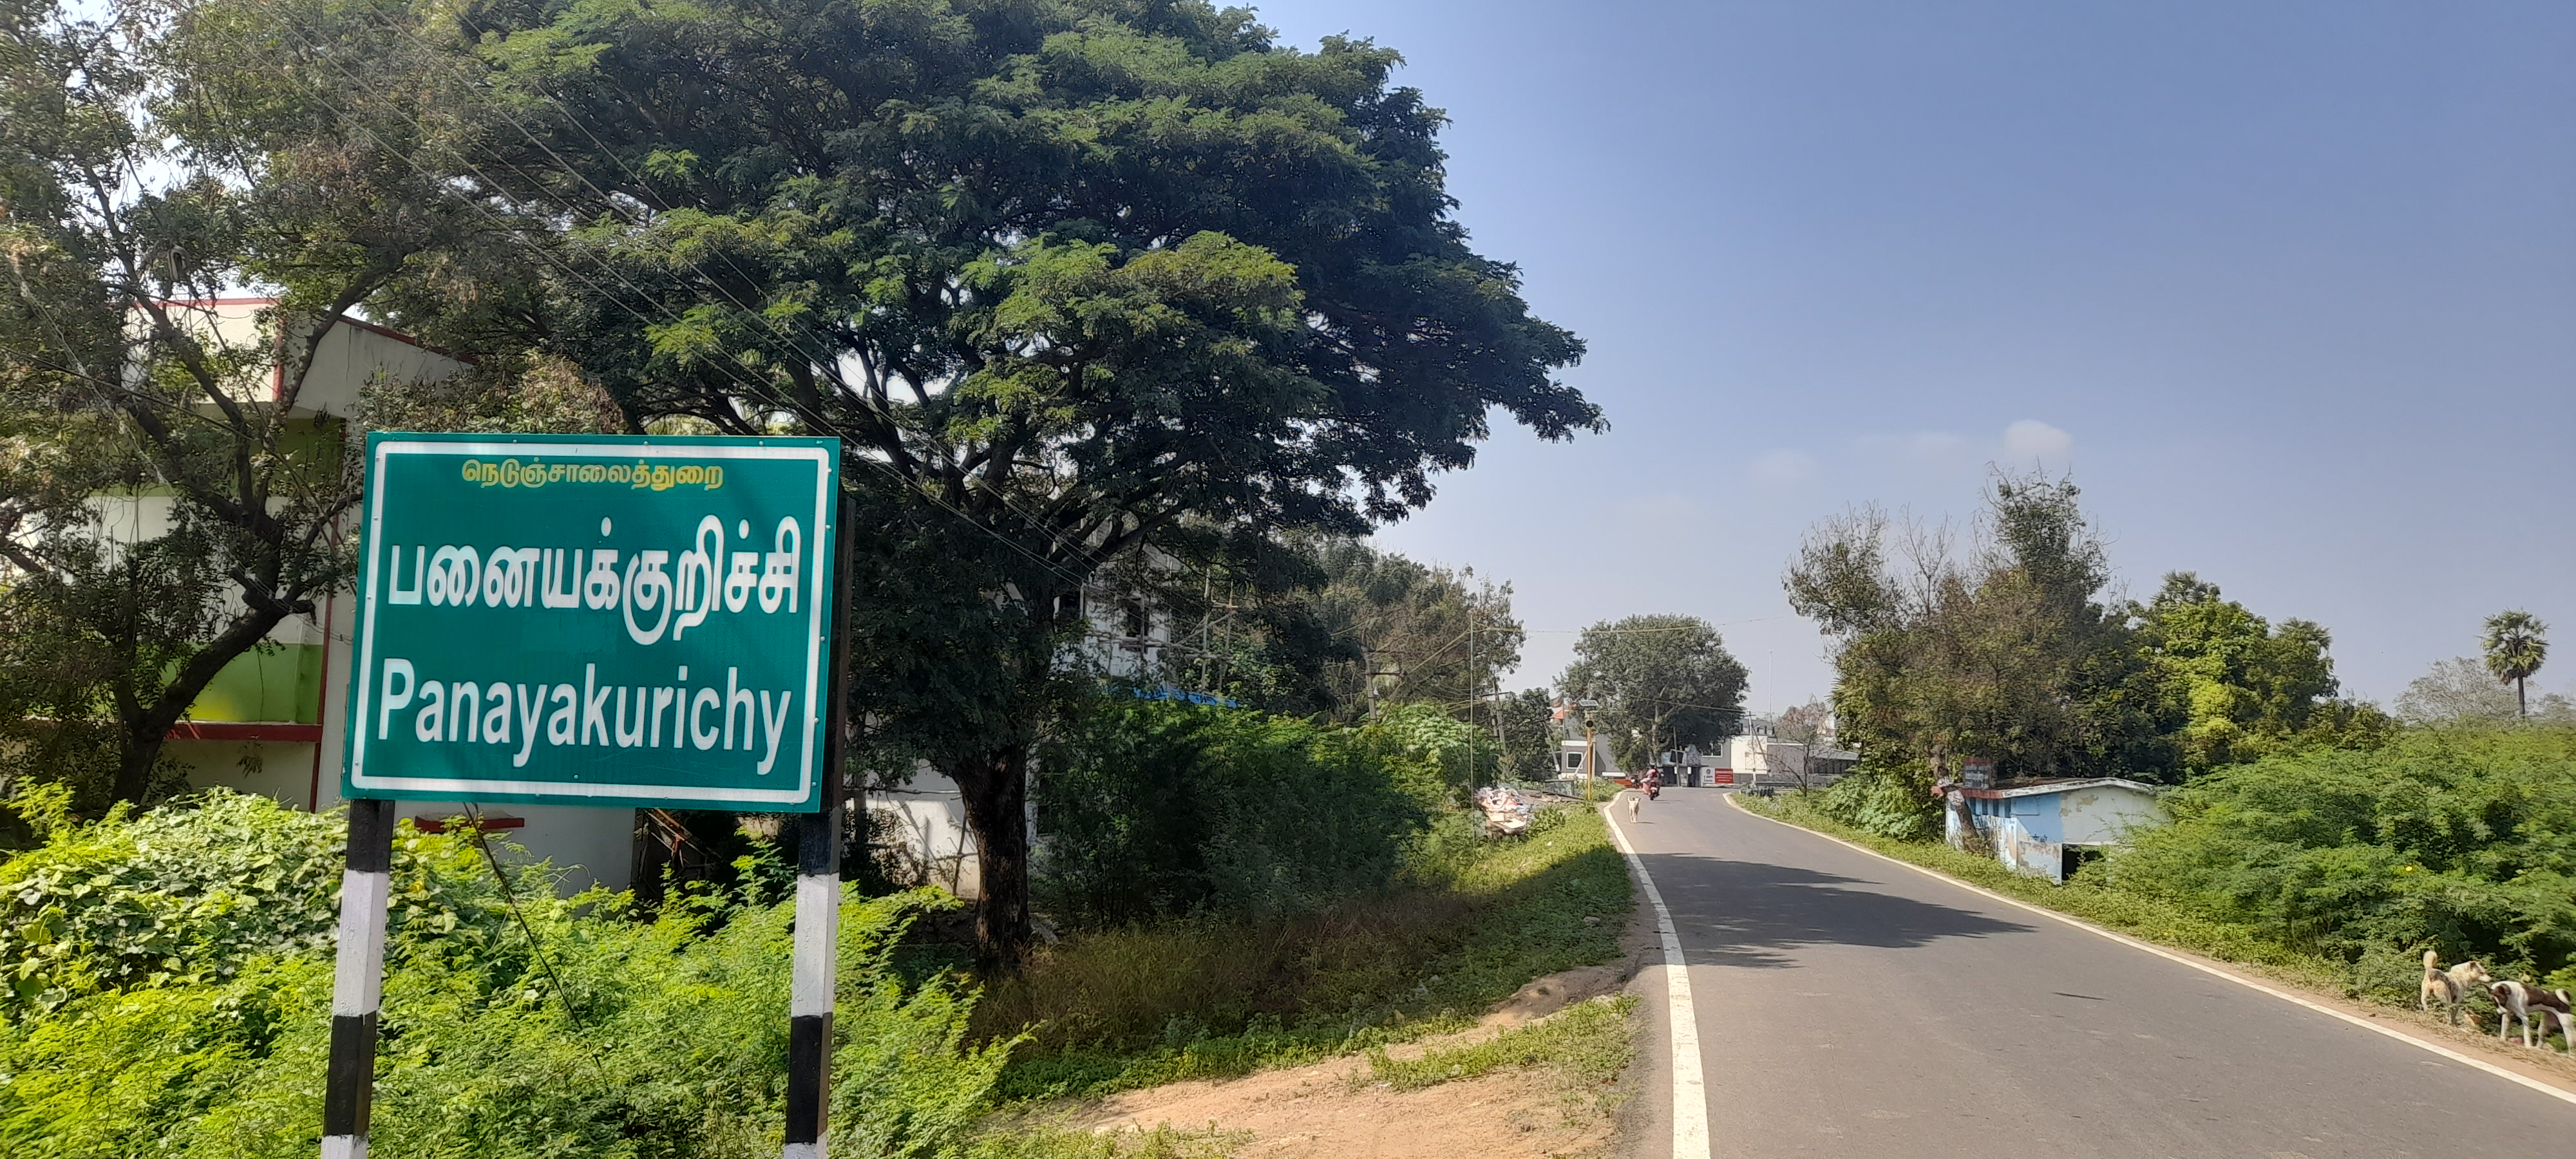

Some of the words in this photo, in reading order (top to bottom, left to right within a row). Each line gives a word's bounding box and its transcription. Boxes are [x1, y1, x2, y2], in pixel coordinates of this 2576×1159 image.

[455, 454, 726, 496] -நெடுஞ்சாலைத்துறை
[384, 511, 804, 652] பனையக்குறிச்சி
[374, 653, 795, 780] Panayakurichy